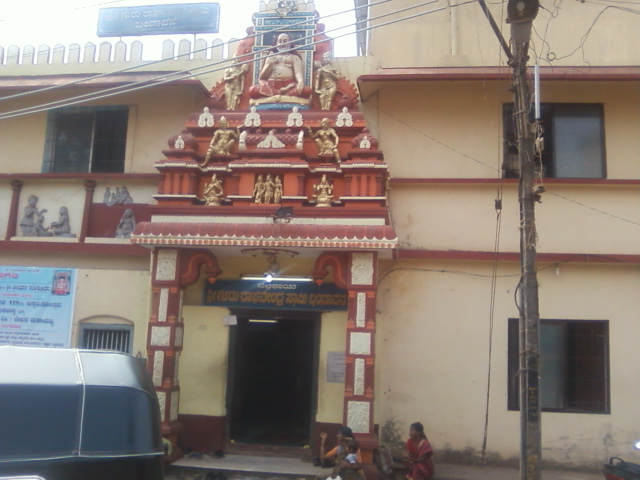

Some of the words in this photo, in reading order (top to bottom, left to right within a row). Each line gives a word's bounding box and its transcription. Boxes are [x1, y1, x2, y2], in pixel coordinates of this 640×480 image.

[130, 11, 182, 33] ಬಂದಾವನ
[203, 282, 244, 309] ಶ್ರೀಗಂದು
[237, 281, 291, 311] ರಾಘವೇಂದ್ರ
[307, 287, 352, 313] ಬಂದಾವನದ